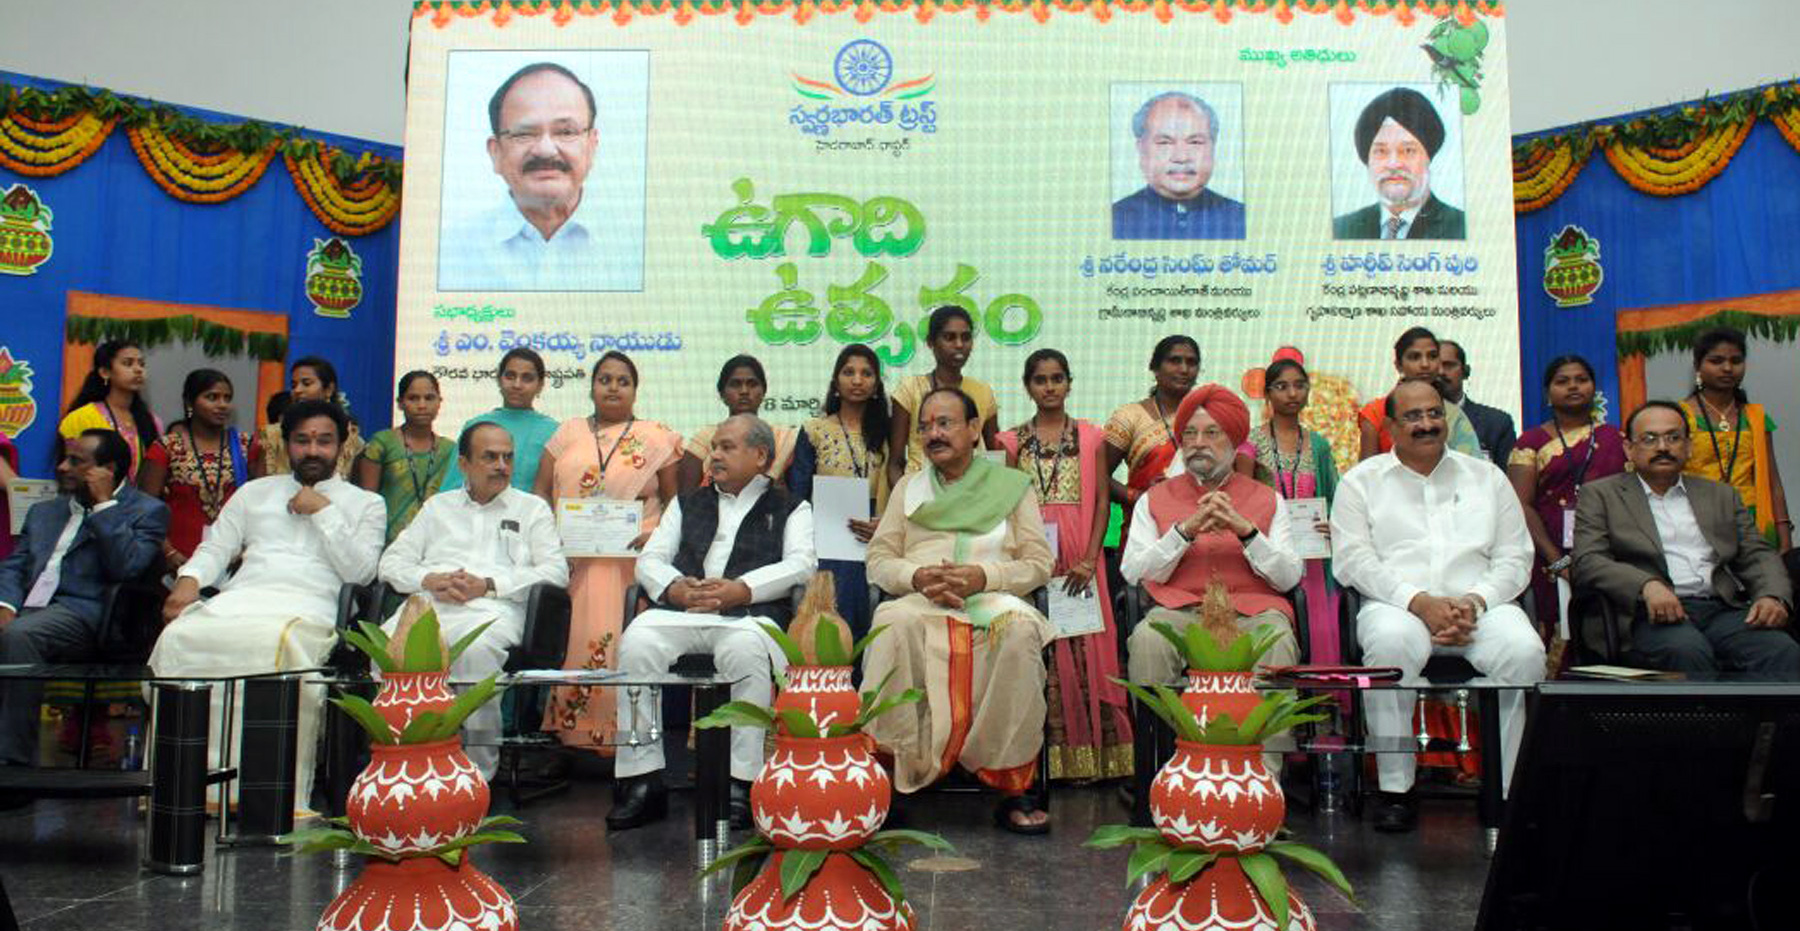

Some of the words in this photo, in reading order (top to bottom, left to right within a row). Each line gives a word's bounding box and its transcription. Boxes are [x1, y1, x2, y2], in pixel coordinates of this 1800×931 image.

[1233, 42, 1293, 72] ముఖ్య
[1287, 46, 1362, 68] అతధులు
[782, 90, 902, 138] స్వర్ణభారత్
[890, 92, 943, 138] ట్రస్ట్
[693, 172, 932, 271] ఉగాది
[1076, 240, 1163, 282] శ్రీనరేంద్ర
[1154, 244, 1222, 280] సింఘ
[1217, 245, 1283, 278] తోమర్
[1312, 248, 1344, 285] శ్ర
[1339, 247, 1398, 284] హర్దీప్
[1392, 247, 1445, 277] సెంగ్
[1441, 247, 1484, 281] పుర
[1403, 280, 1484, 303] శాఖమరియ
[734, 255, 1048, 373] ఉత్సనం
[1425, 301, 1504, 322] మంత్రివర్యులు
[427, 322, 501, 363] శ్రీ ఎం.
[493, 327, 591, 362] వెంకయ్య
[588, 324, 688, 358] నాయబడు